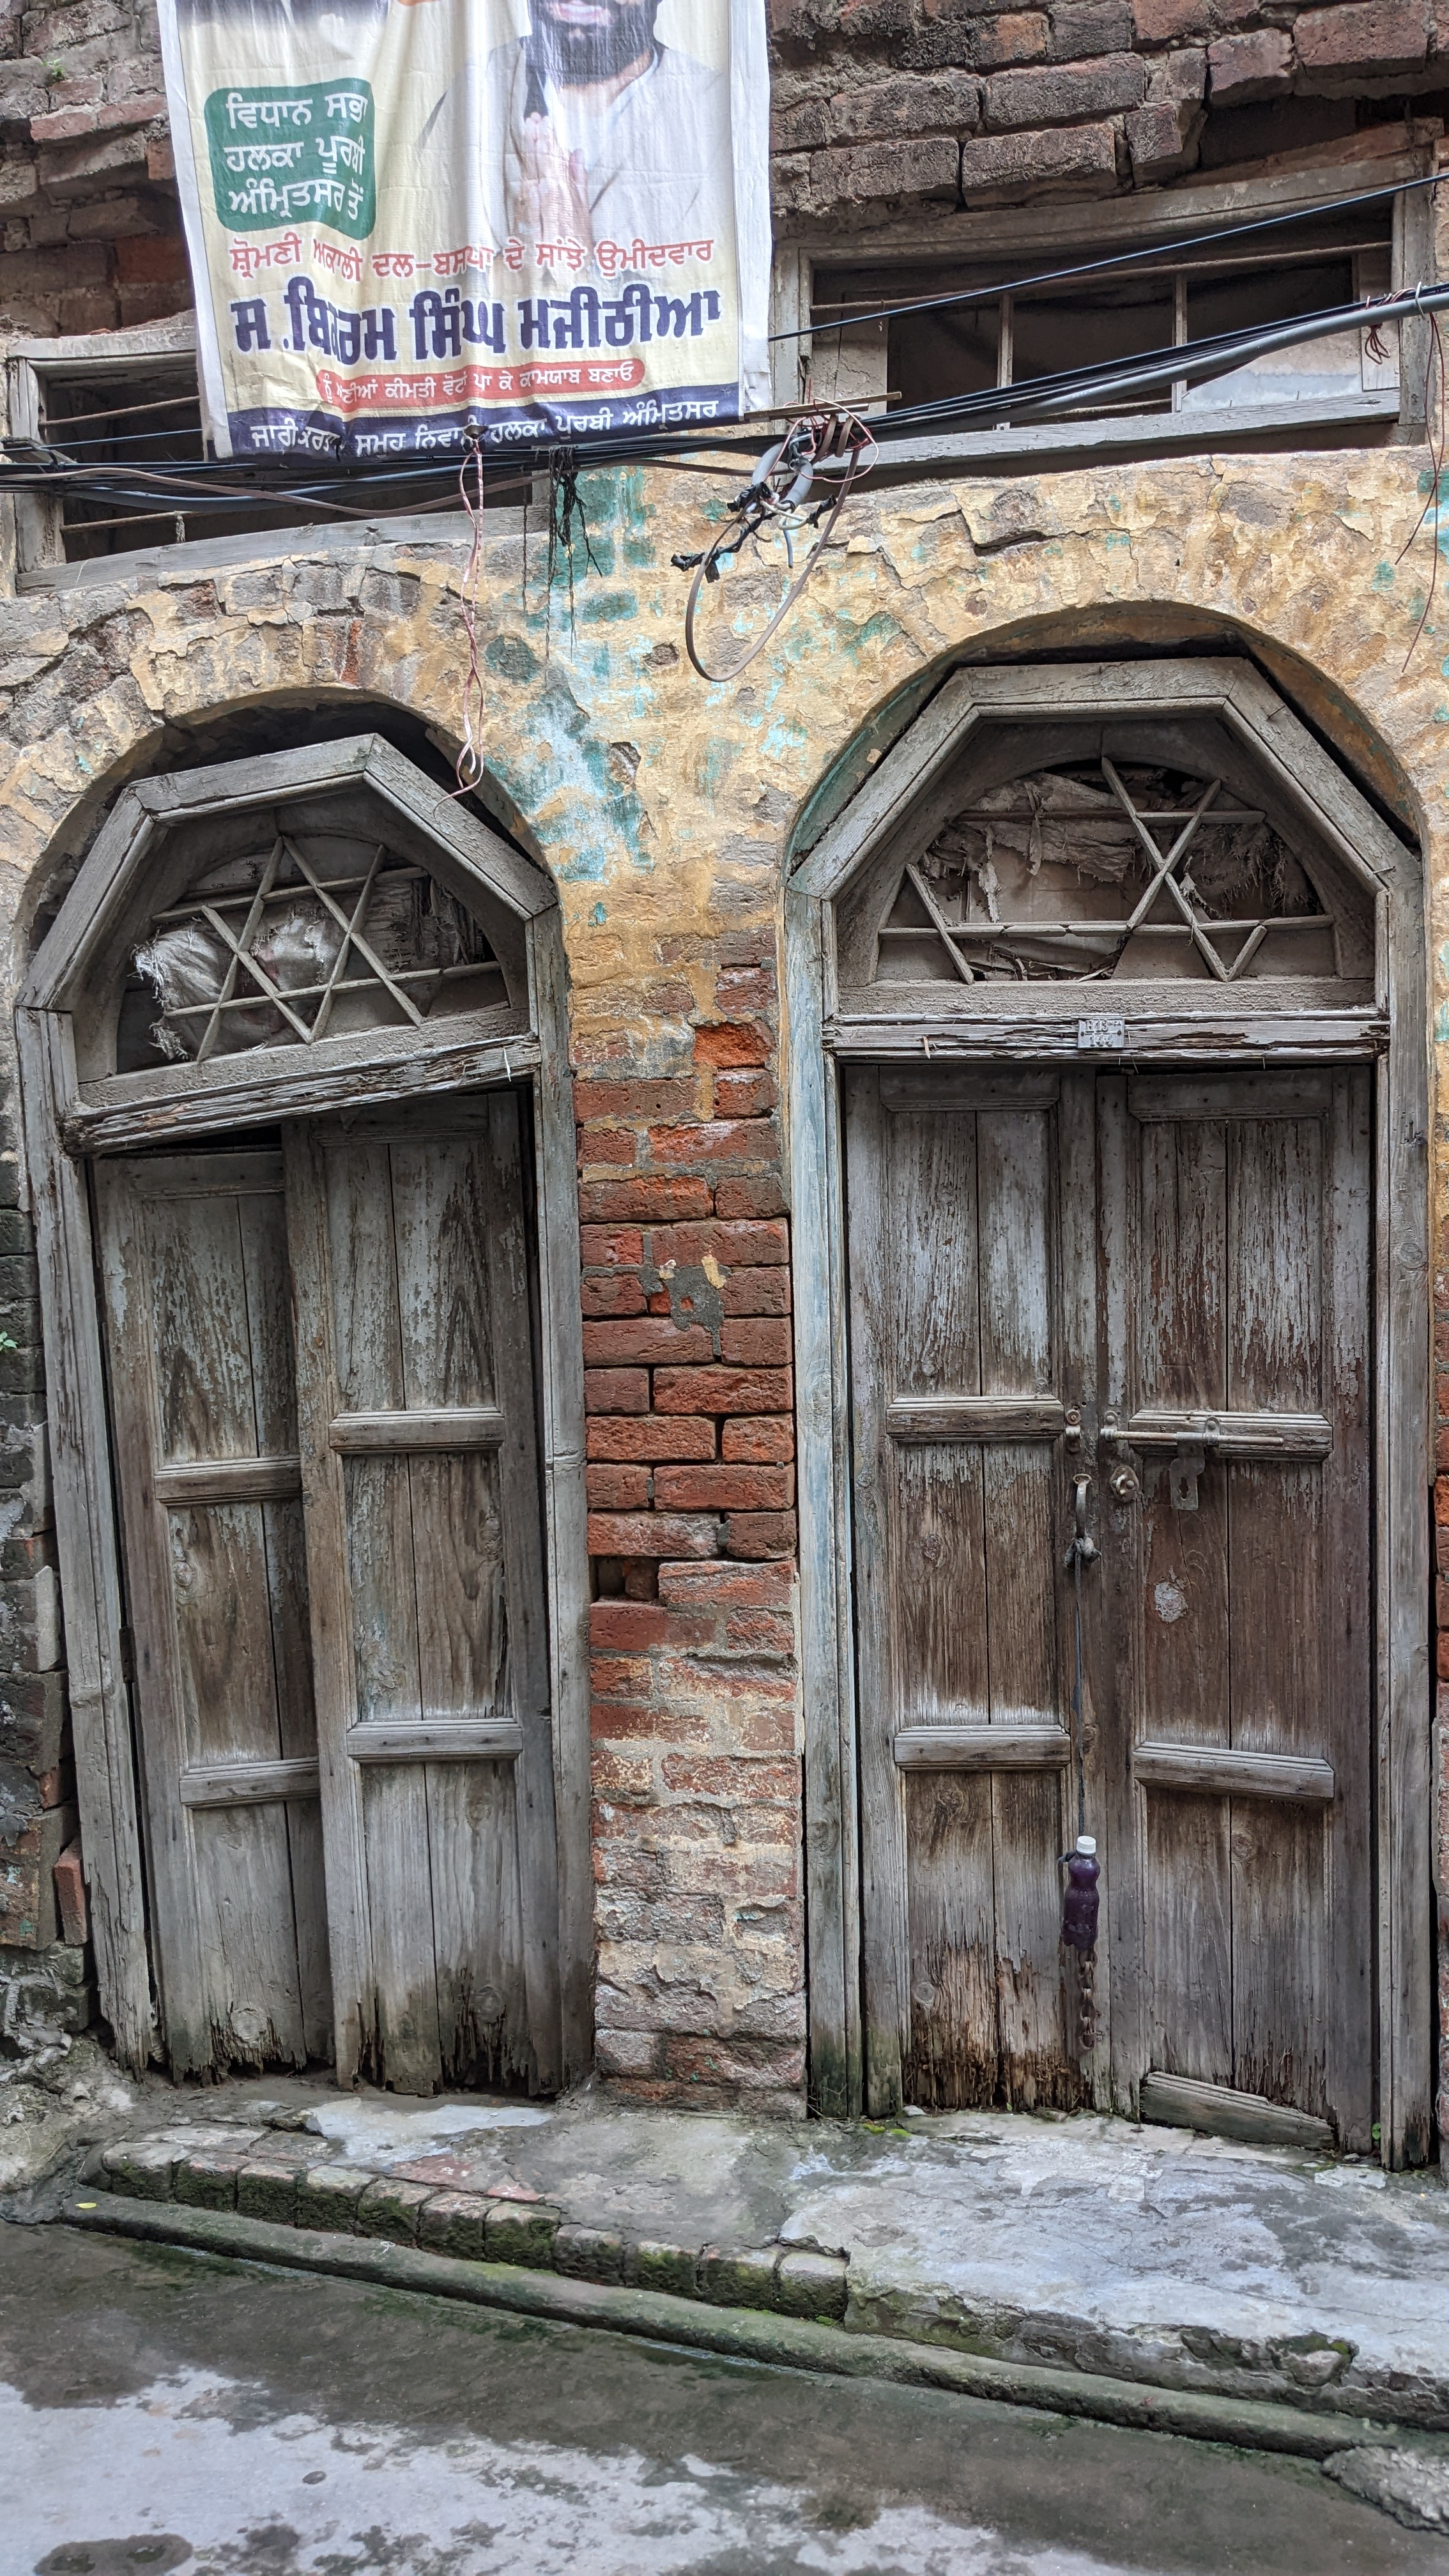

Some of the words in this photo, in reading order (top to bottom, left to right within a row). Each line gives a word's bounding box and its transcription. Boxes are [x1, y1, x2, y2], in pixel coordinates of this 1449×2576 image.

[220, 90, 319, 134] ਵਿਧਾਨ
[318, 89, 372, 128] ਸਭਾ
[219, 137, 309, 175] ਹਲਕਾ
[310, 131, 371, 178] ਪੂਰਬੀ
[221, 174, 347, 222] ਅੰਮ੍ਰਿਤਸਰ
[344, 174, 369, 222] ਤੋਂ
[224, 226, 308, 284] ਸ਼੍ਰੋਮਣੀ
[307, 235, 366, 283] ਅਕਾਲੀ
[367, 241, 496, 283] ਦਲ-ਬਸ੫ਾ
[499, 232, 529, 277] ਦੇ
[533, 229, 591, 280] ਸਾਂਝੇ
[591, 233, 721, 280] ਉਮੀਦਵਾਰ
[222, 291, 278, 358] म
[277, 270, 404, 367] ਬਿਕਰਮ
[402, 281, 517, 367] ਸਿੰਘ
[512, 277, 730, 355] ਮਜੀਠੀਆ
[316, 370, 335, 408] ਨੂੰ
[334, 376, 382, 407] ਅਣੀਆਂ
[379, 372, 439, 406] ਕੀਮਤੀ
[438, 367, 472, 401] ਵੋਟਾਂ
[471, 369, 494, 395] ਪਾ
[494, 367, 517, 394] ਕੇ
[516, 364, 585, 392] ਕਾਮਯਾਬ
[585, 359, 642, 387] ਬਣਾਓ
[238, 413, 301, 451] ਜਾਰੀ
[296, 424, 344, 455] ਕਰਰਾ
[351, 427, 412, 463] ਸਮੁਹ
[411, 419, 461, 457] ਨਿਵਾ
[486, 413, 553, 446] ਹਲਕਾ
[551, 403, 618, 443] ਪੁਰਬੀ
[620, 395, 726, 433] ਅੰਮ੍ਰਿਤਸਰ